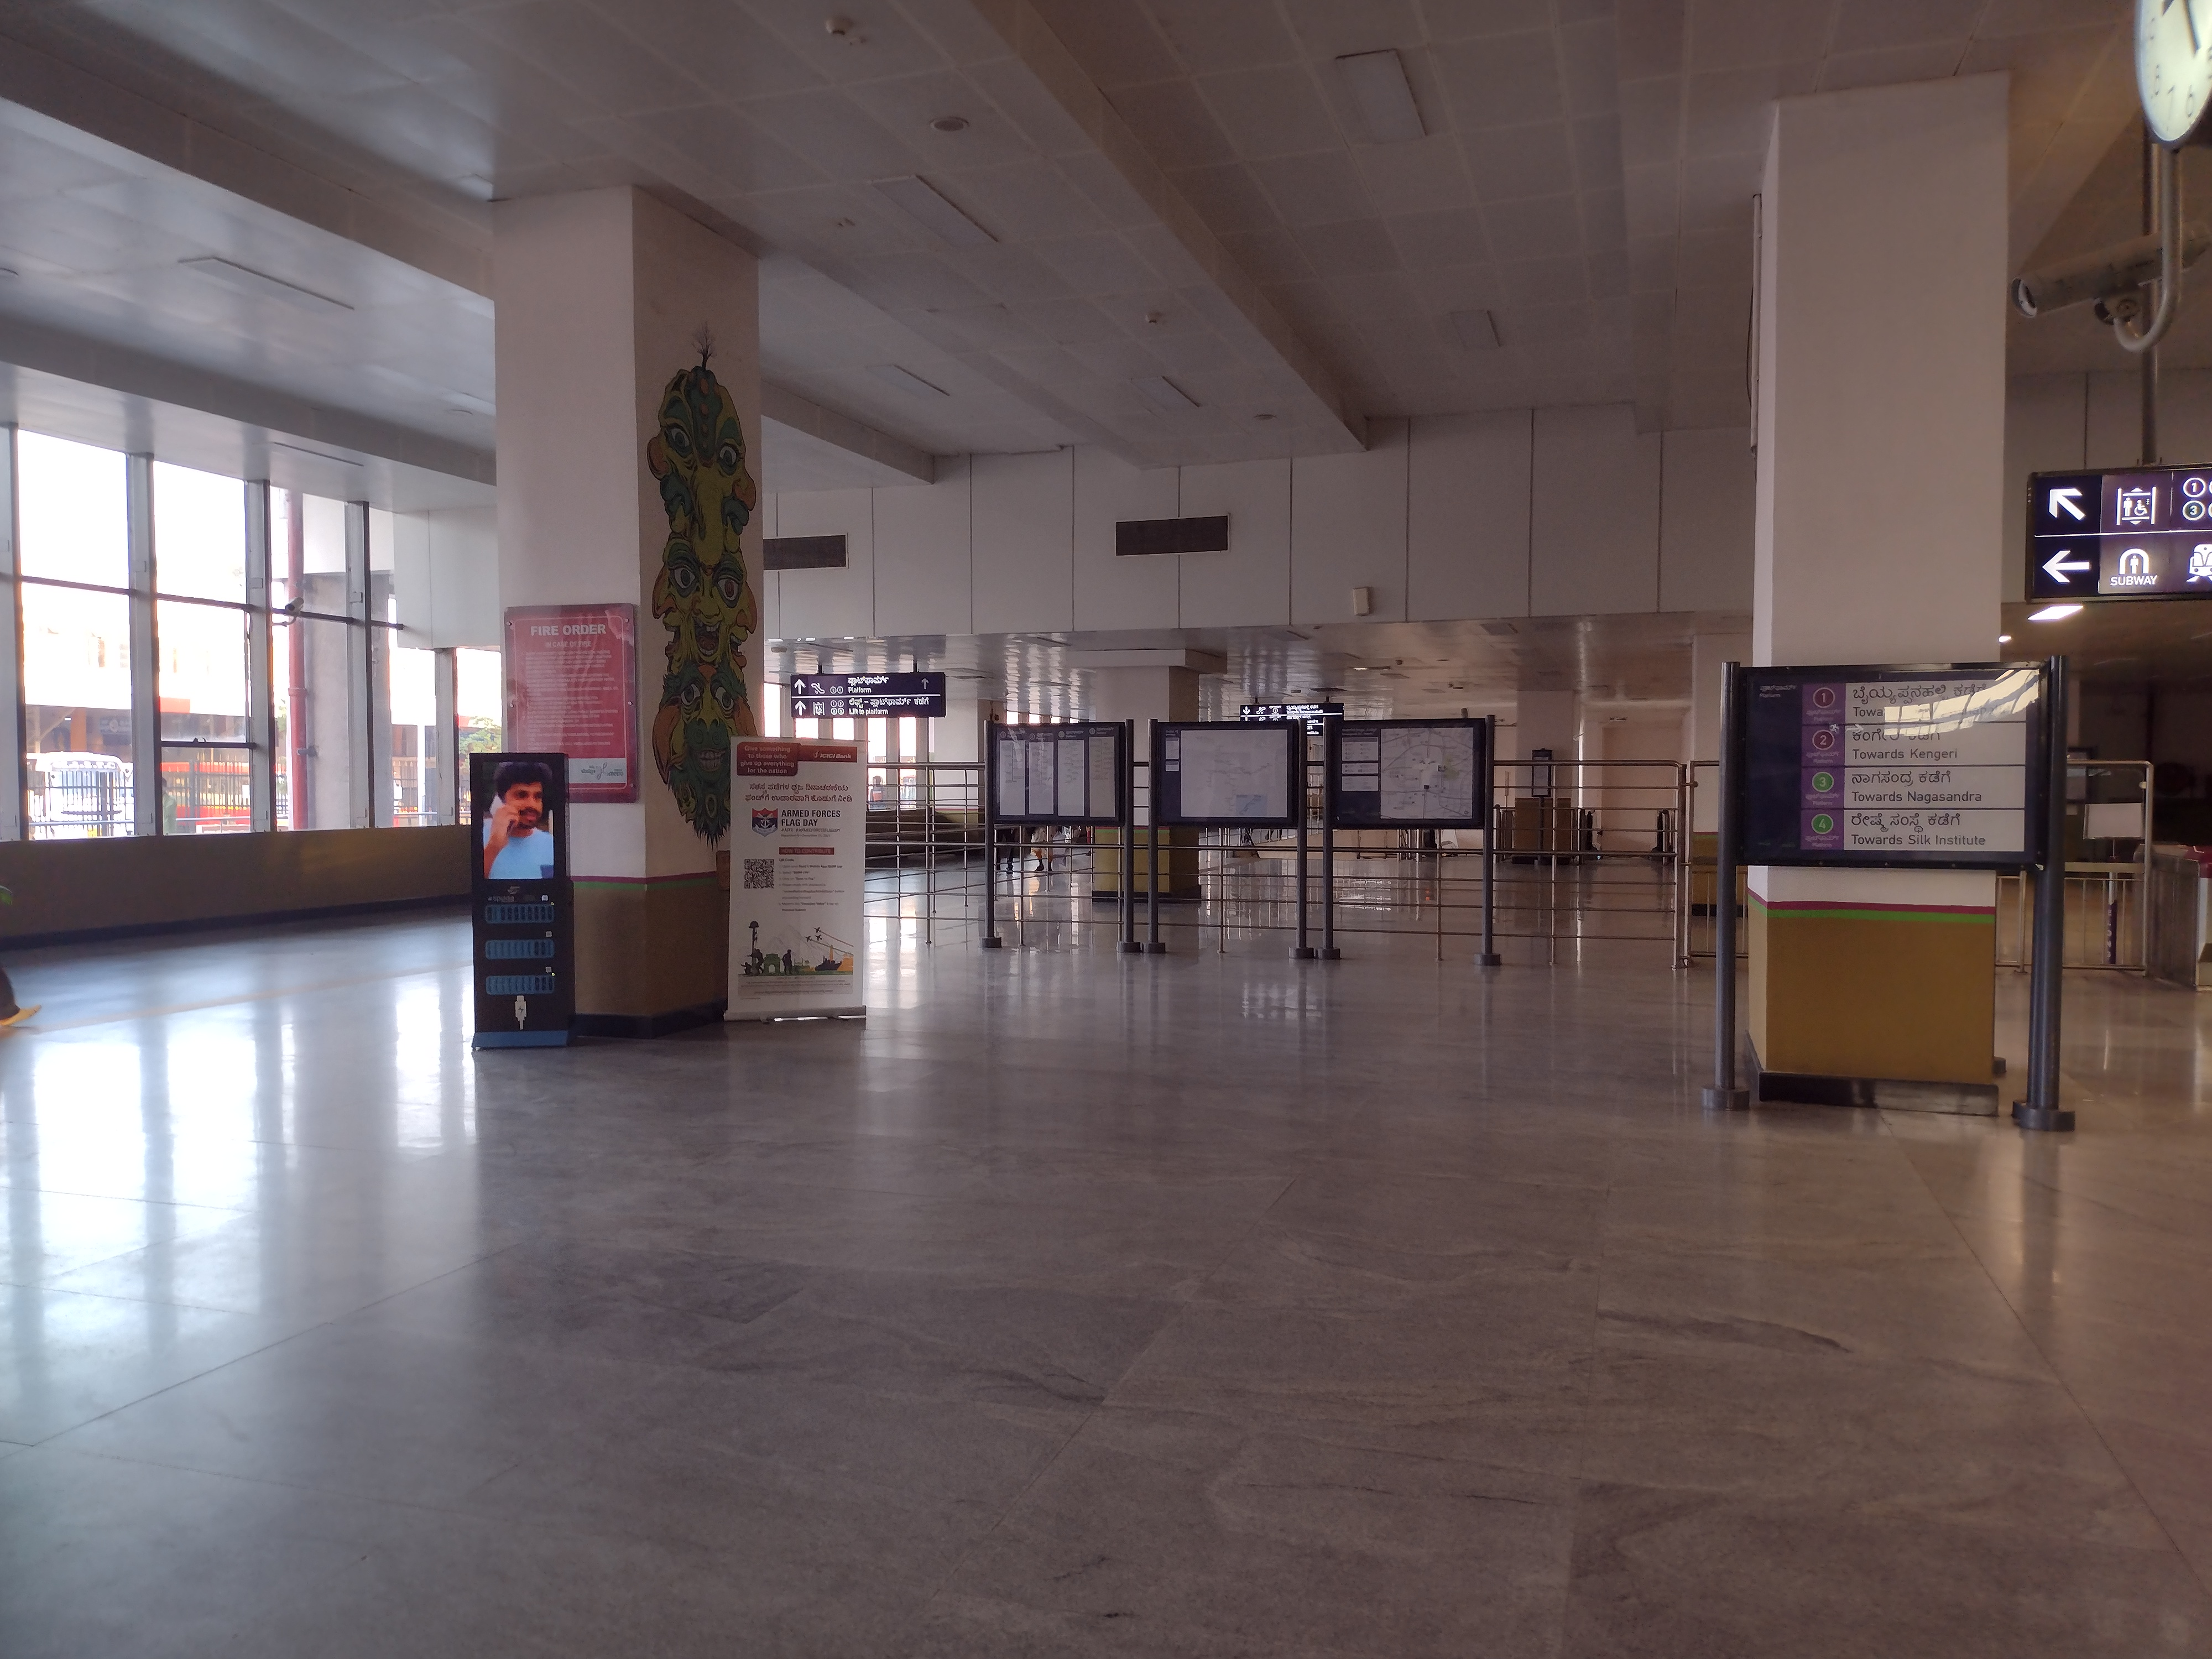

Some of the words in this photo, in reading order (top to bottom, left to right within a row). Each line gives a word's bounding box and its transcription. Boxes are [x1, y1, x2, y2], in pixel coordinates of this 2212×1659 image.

[2106, 571, 2159, 589] SUBWAY
[528, 621, 560, 639] FIRE
[559, 618, 607, 639] ORDER
[845, 683, 875, 697] Platform
[1850, 680, 1954, 707] ಬೈಯ್ಯಪ್ಪನಹಲಿ
[845, 694, 912, 711] ಲಿಫ್ಟ್ - ಪ್ಲಾಟ್‌ಫಾರ್ಮ್
[910, 693, 932, 709] ಕಡೆಗ
[846, 706, 860, 718] LIR
[857, 706, 867, 719] to
[864, 707, 890, 718] platform
[1848, 725, 1904, 744] ಕೆಂಗೇರಿ
[738, 759, 755, 770] give
[743, 766, 758, 776] for
[742, 741, 760, 754] Give
[745, 752, 757, 762] to
[752, 757, 765, 769] up
[754, 764, 769, 777] the
[754, 752, 775, 761] those
[757, 744, 792, 755] something
[767, 765, 789, 778] nation
[761, 759, 797, 769] everything
[773, 753, 789, 761] who
[818, 750, 838, 761] ICICI
[833, 753, 853, 761] Bank
[1850, 745, 1906, 762] Towards
[1851, 767, 1915, 787] ನಾಗಸಂದ್ರ
[1907, 745, 1959, 763] Kengeri
[1916, 765, 1954, 786] ಕಡೆಗೆ
[745, 779, 769, 794] ಸಶಸ್ತ
[765, 780, 791, 795] ಪಡೆಗಳ
[789, 779, 806, 797] ಧ್ವಜ
[804, 781, 851, 792] ದಿನಾಚರಣೆಯ
[770, 792, 811, 804] ಉದಾರವಾಗಿ
[808, 791, 854, 804] ಕೊಡುಗನೀಡಿ
[1847, 788, 1904, 805] Towards
[1906, 789, 1984, 807] Nagasandra
[776, 817, 802, 829] FLAG
[780, 806, 811, 820] ARMED
[798, 817, 819, 830] DAY
[810, 807, 842, 819] FORCES
[1849, 810, 1891, 836] ರೇಷ್ಮ
[1886, 810, 1925, 834] ಸ0ಸ್ಥೆ
[1925, 809, 1963, 828] ಕಡೆಗೆ
[1850, 832, 1904, 847] Towards
[1906, 829, 1933, 849] Silk
[1934, 831, 1987, 849] Institute